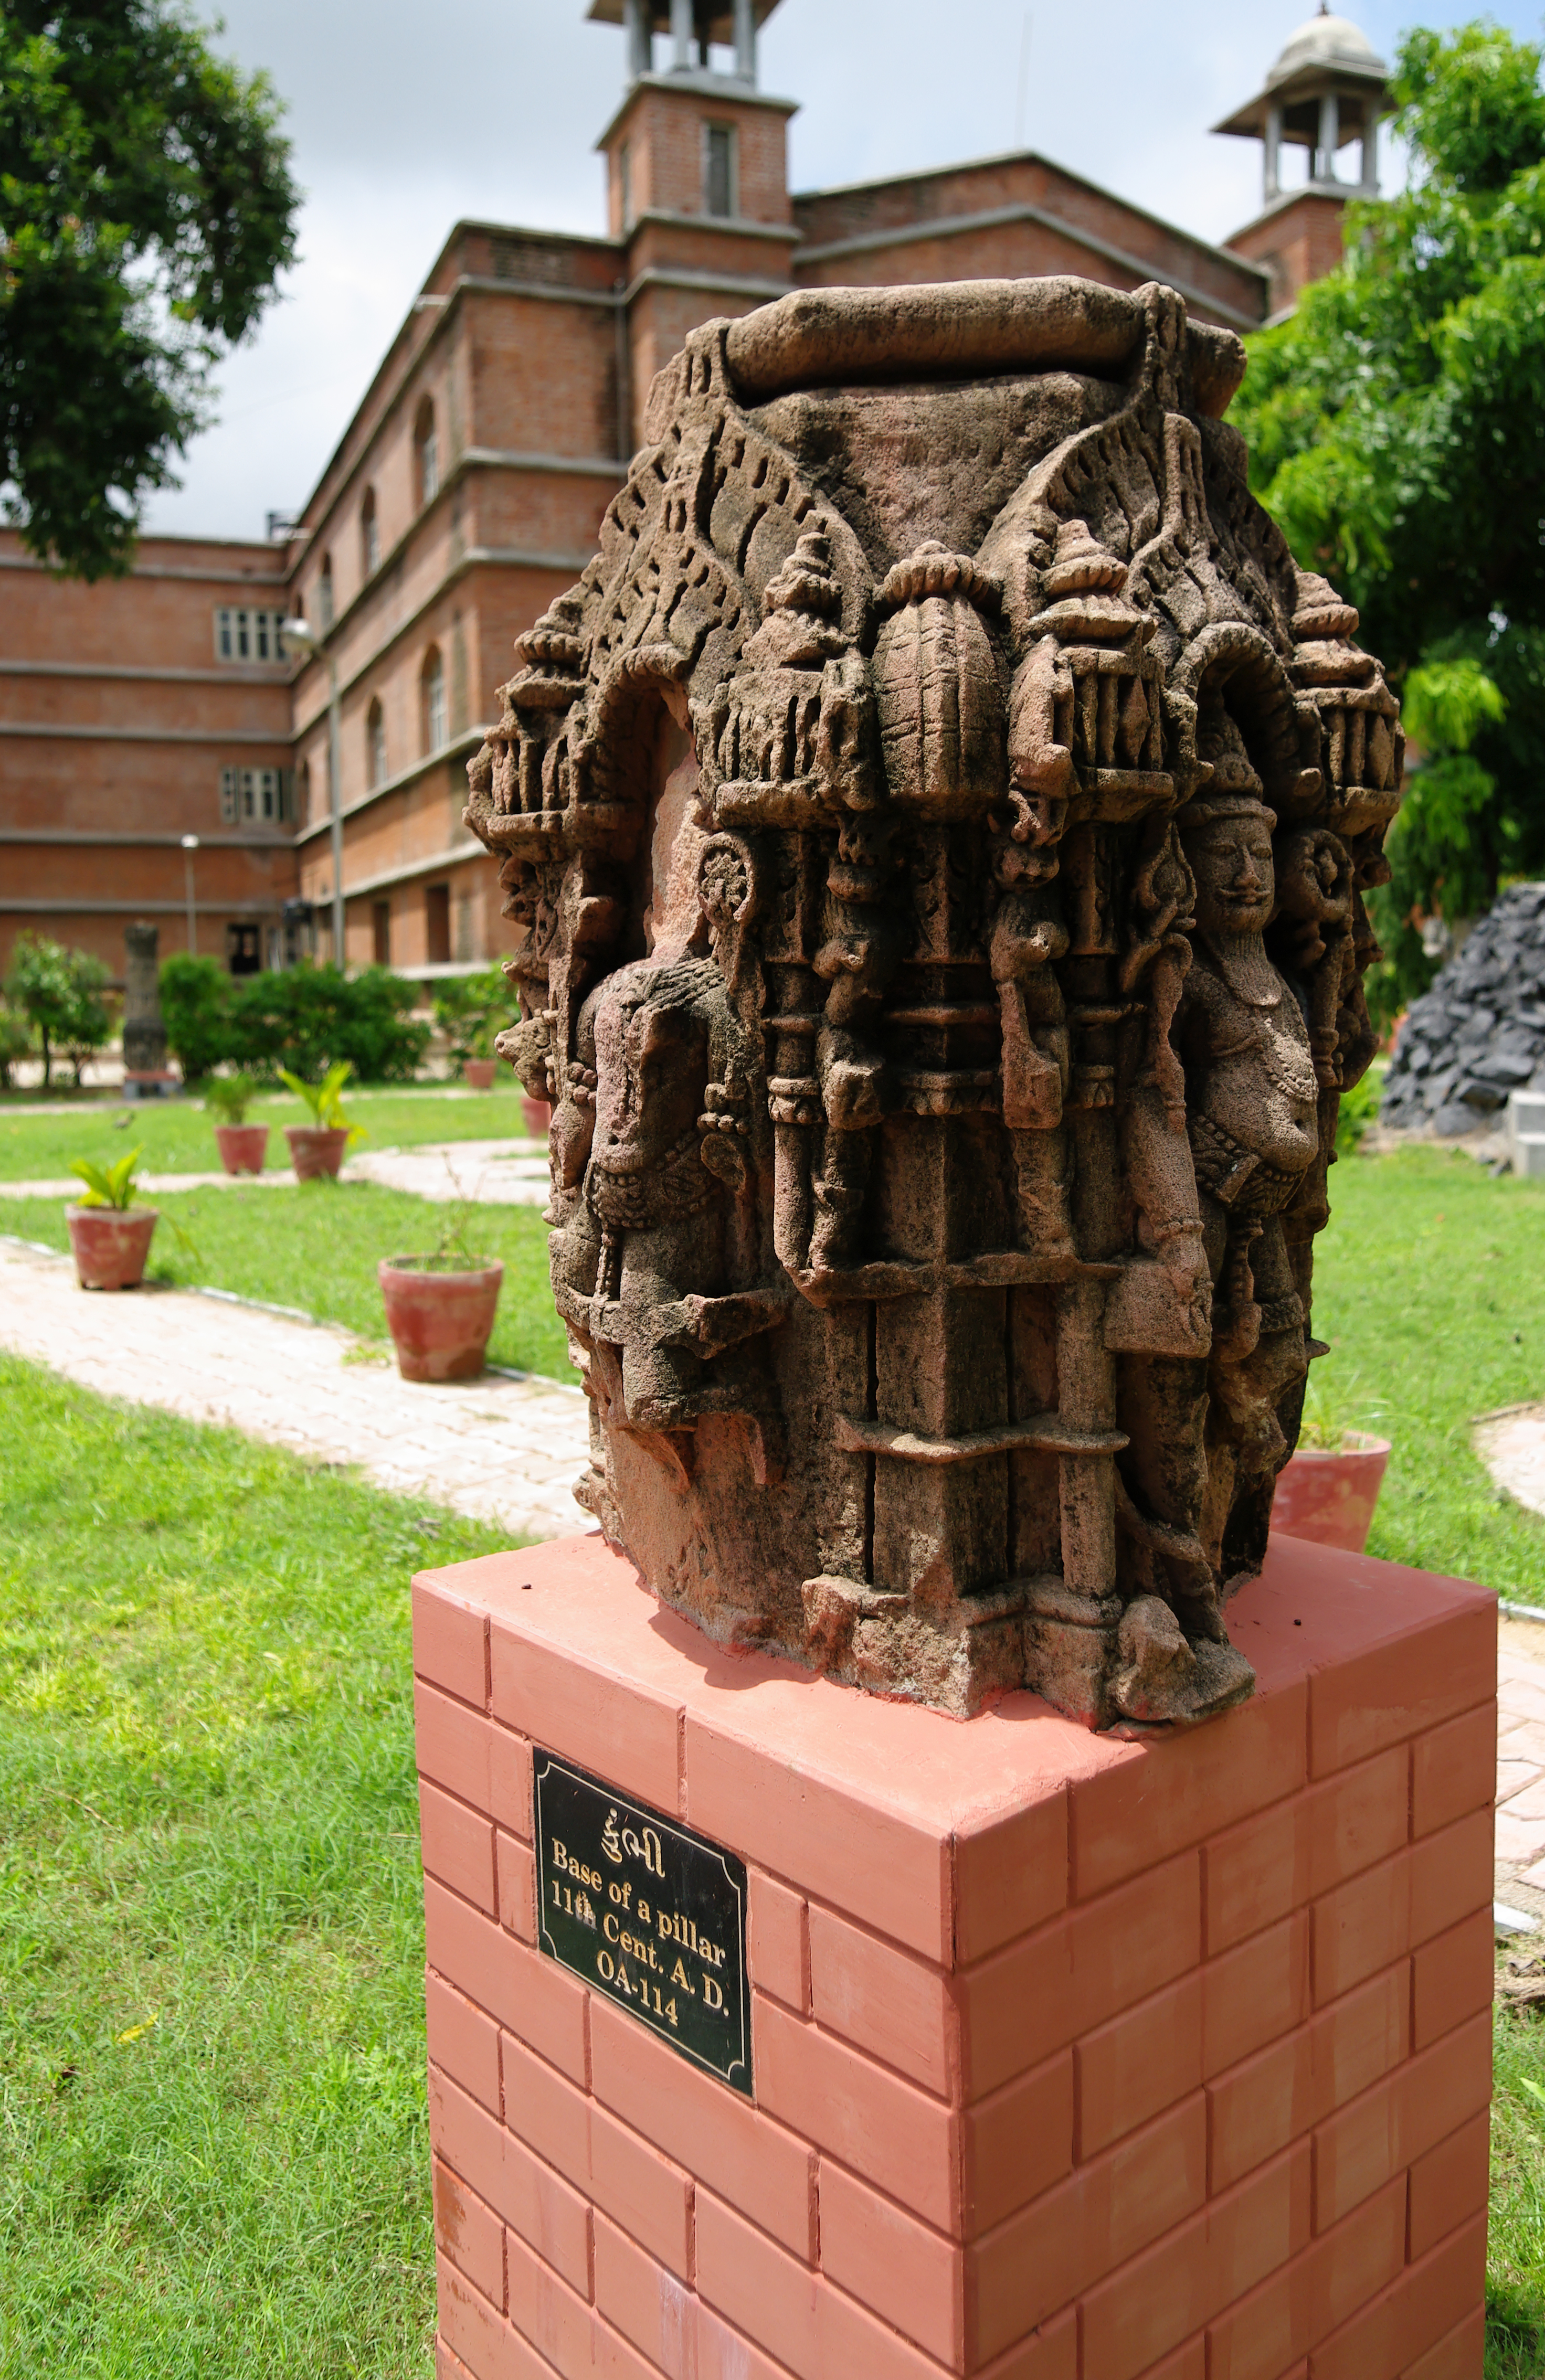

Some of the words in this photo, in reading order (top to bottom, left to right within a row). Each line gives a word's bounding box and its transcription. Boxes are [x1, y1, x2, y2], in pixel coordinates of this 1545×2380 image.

[547, 1875, 598, 1930] 11th
[546, 1833, 610, 1896] Base
[605, 1879, 633, 1912] of
[599, 1908, 666, 1977] Cent.
[596, 1803, 675, 1885] કુંભી
[634, 1896, 653, 1925] a
[654, 1907, 729, 1971] pillar
[593, 1944, 682, 2030] OA-114
[668, 1953, 731, 2017] A.D.